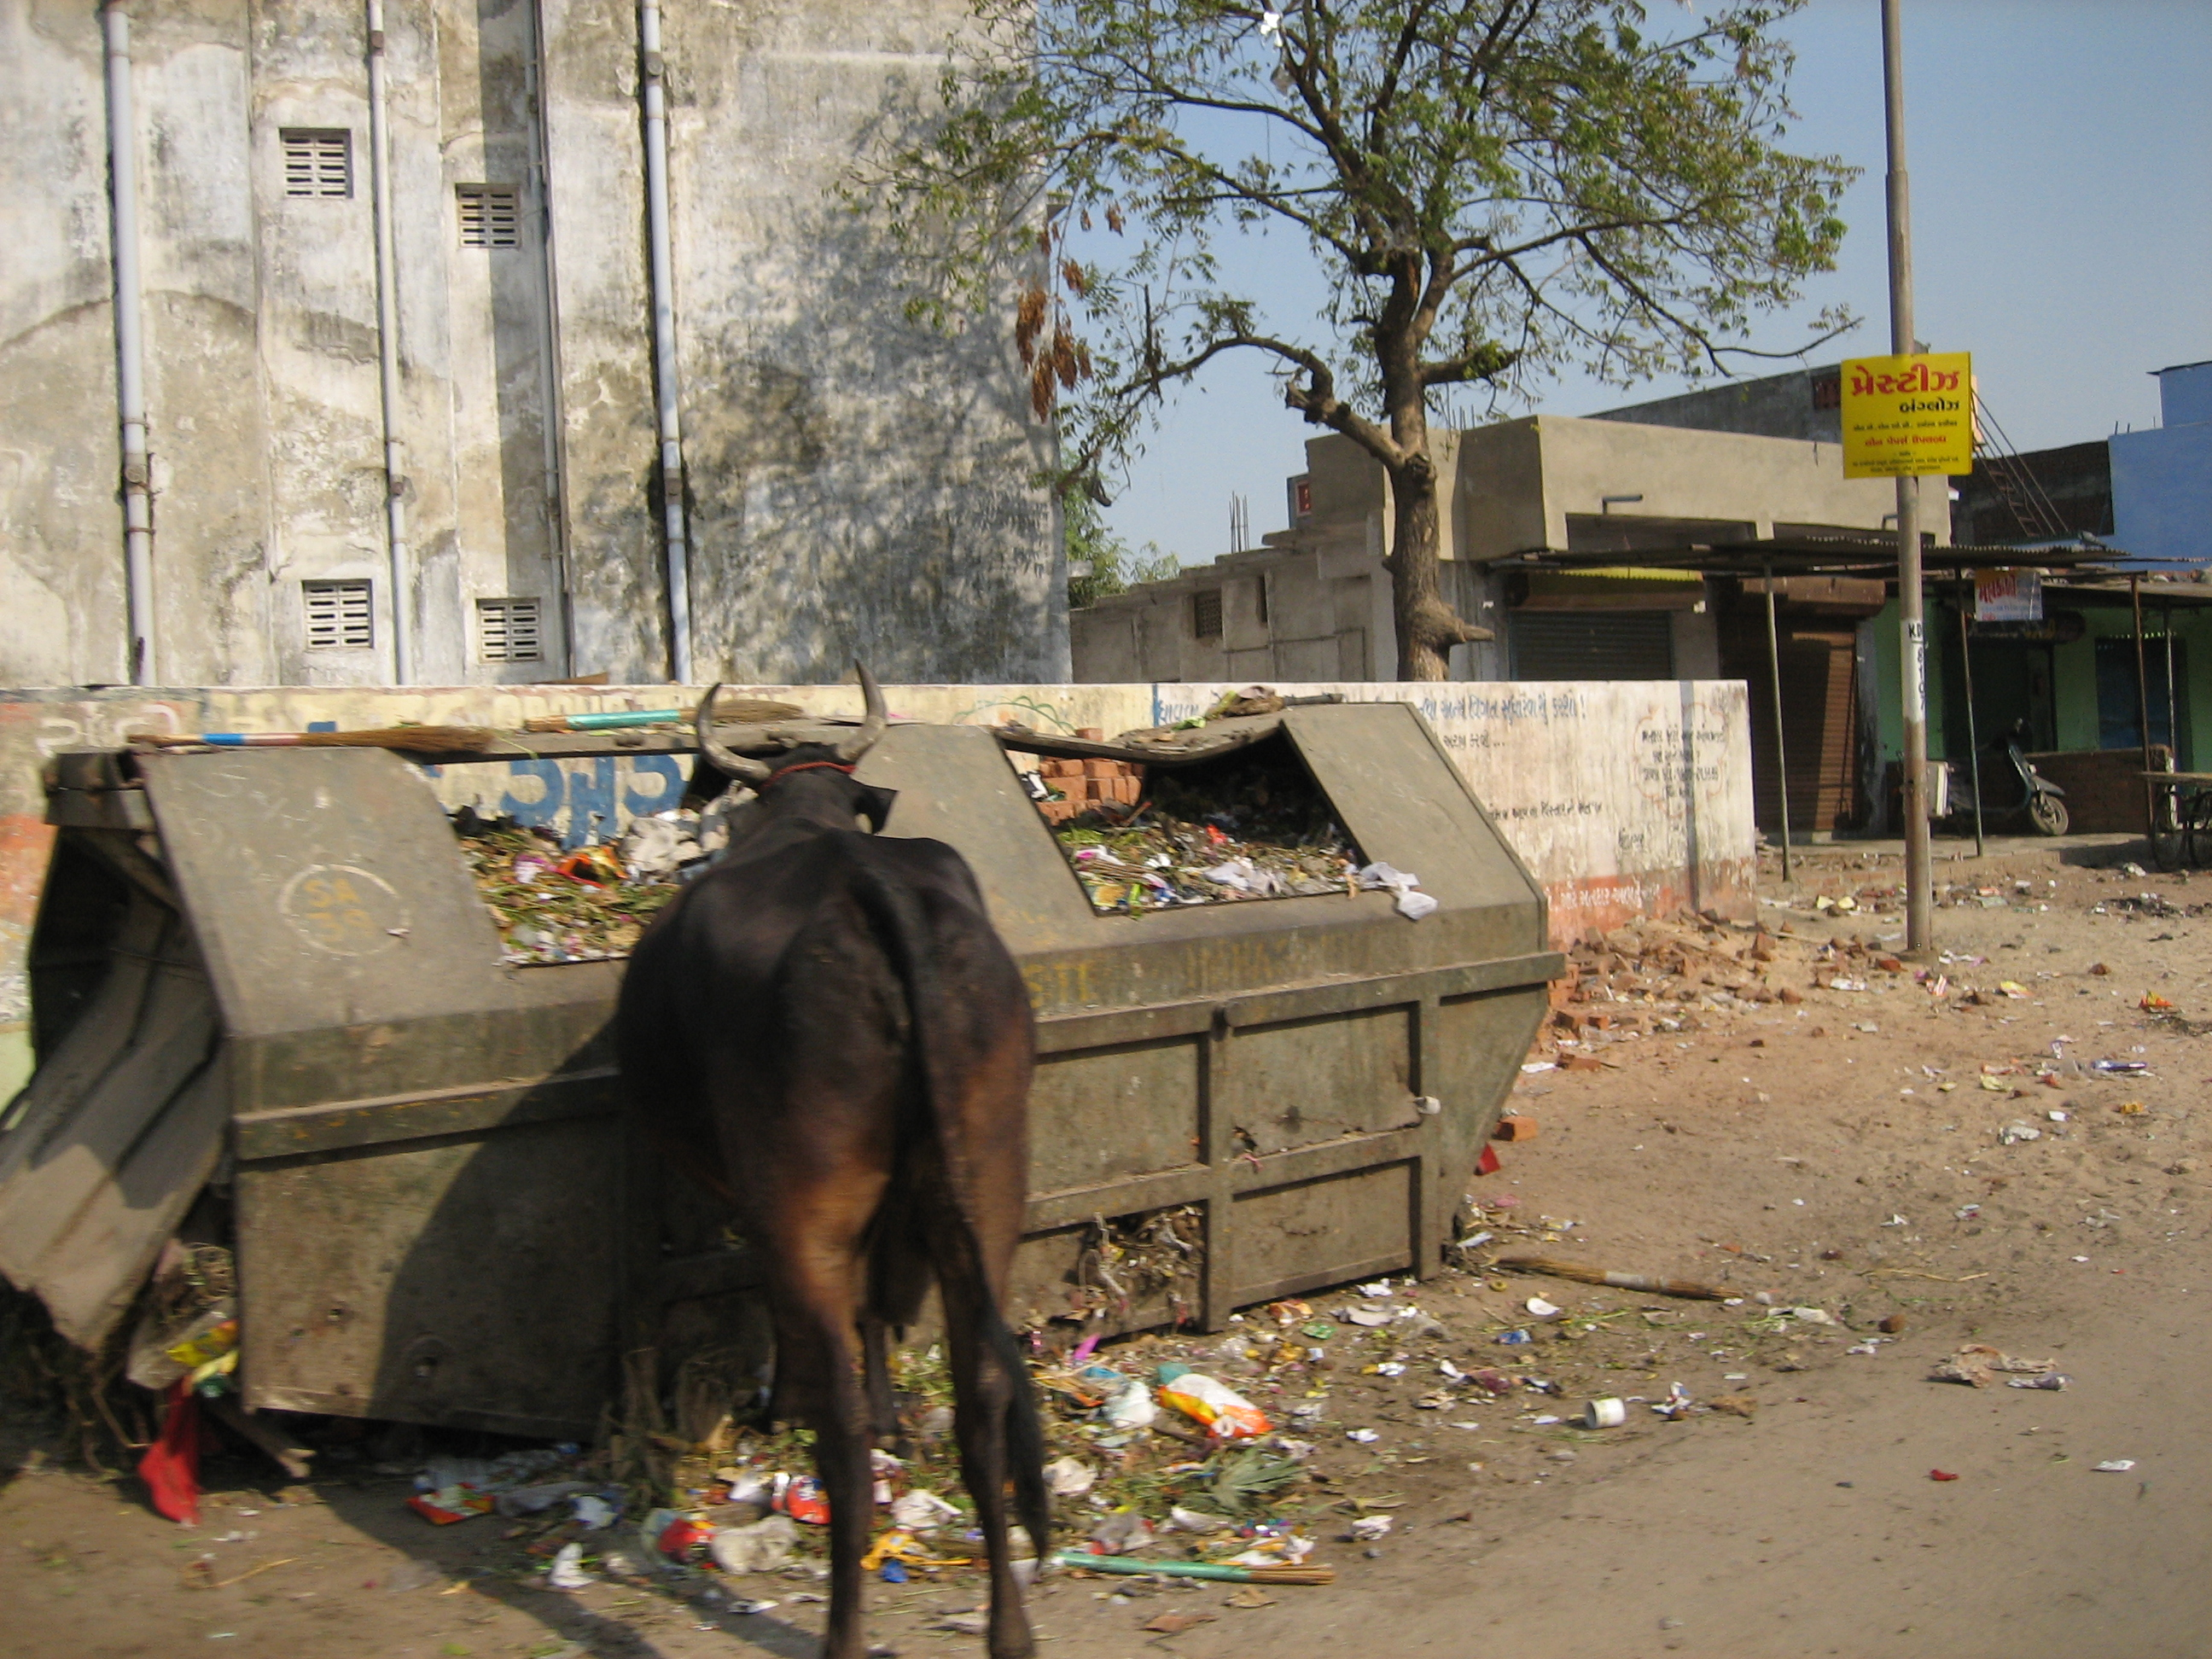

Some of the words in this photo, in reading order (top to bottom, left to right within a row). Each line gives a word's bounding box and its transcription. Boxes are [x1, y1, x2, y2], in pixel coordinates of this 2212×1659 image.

[1851, 363, 1962, 397] પ્રેસ્ટીઝ
[1898, 393, 1958, 417] બંગ્લોઝ